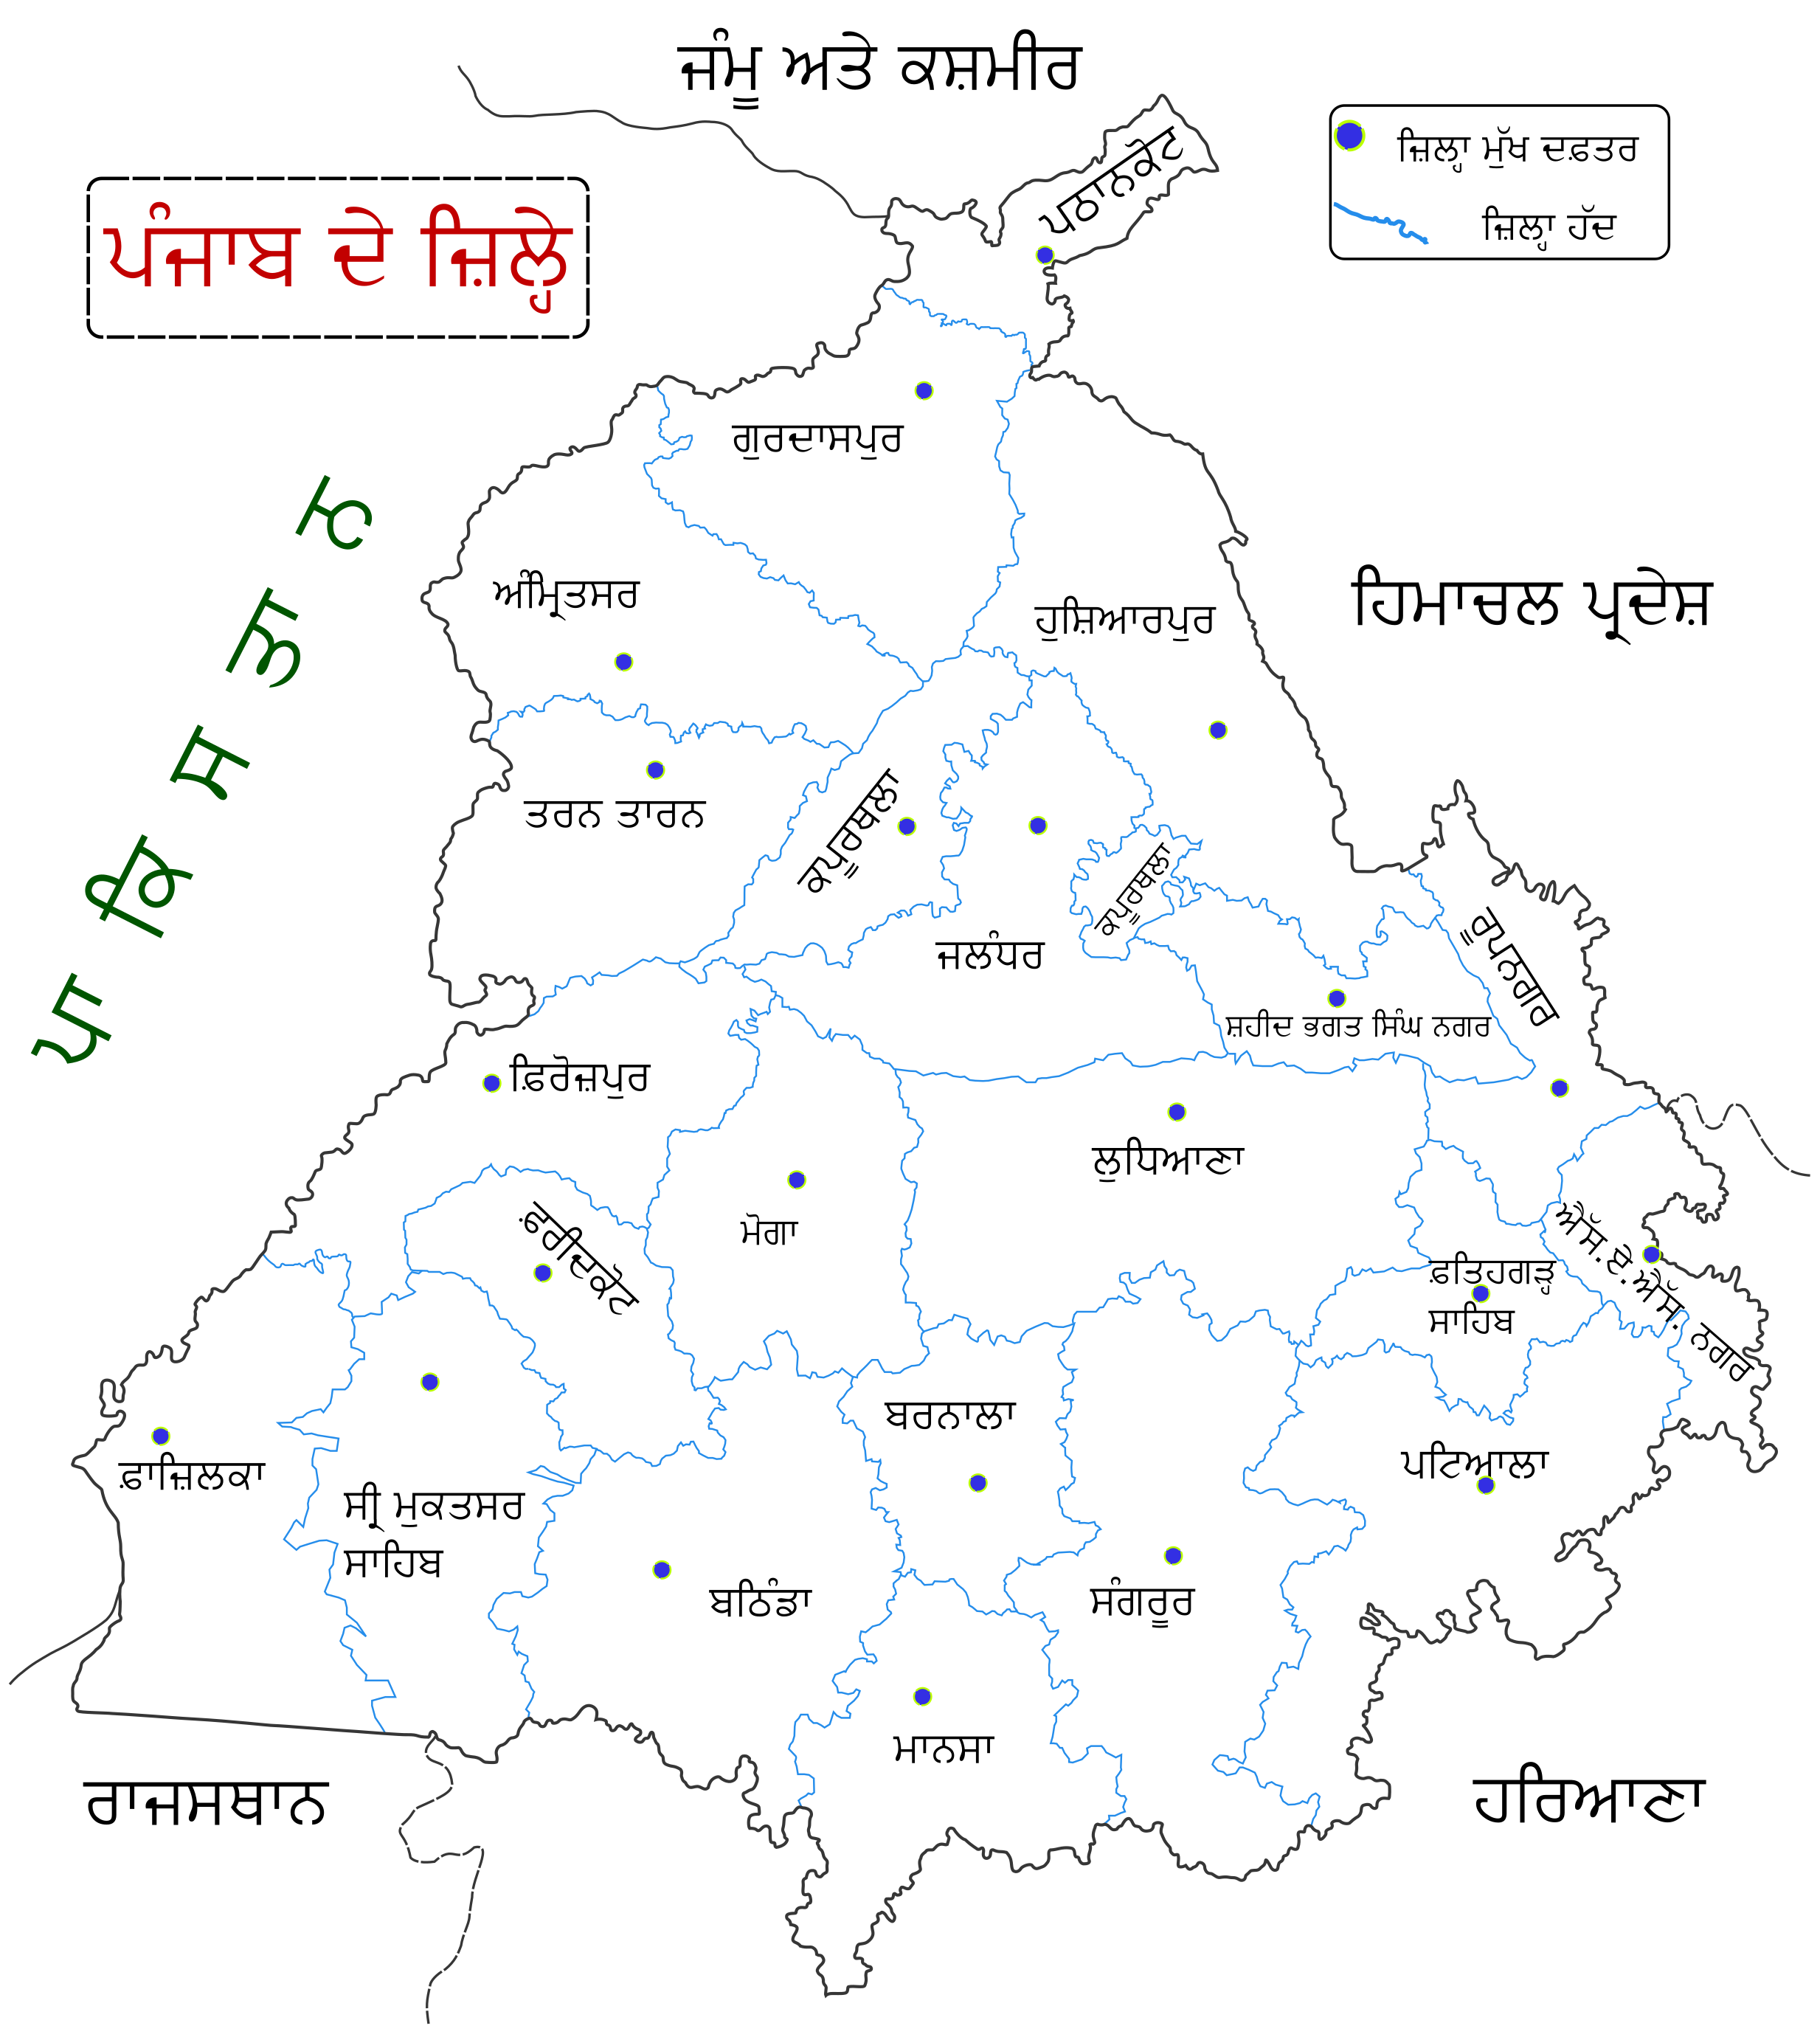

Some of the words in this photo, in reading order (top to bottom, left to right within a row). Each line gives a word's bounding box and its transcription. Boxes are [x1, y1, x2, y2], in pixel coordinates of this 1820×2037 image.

[668, 23, 775, 122] ਜੰਮੂ
[776, 27, 880, 98] ਅਤੇ
[890, 23, 1093, 106] ਕਸ਼ਮੀਰ
[1386, 121, 1478, 180] ਜ਼ਿਲ੍ਹਾ
[1475, 122, 1536, 176] ਮੁੱਖ
[1533, 124, 1647, 172] ਦਫ਼ਤਰ
[1025, 121, 1194, 250] ਪਠਾਨਕੋਟ
[91, 196, 311, 301] ਪੰਜਾਬ
[316, 194, 409, 305] ਦੇ
[412, 185, 579, 329] ਜ਼ਿਲੇ੍
[1475, 198, 1560, 257] ਜ਼ਿਲ੍ਹਾ
[1560, 198, 1628, 253] ਹੱਦ
[722, 418, 915, 472] ਗੁਰਦਾਸਪੁਰ
[282, 466, 386, 566] ਨ
[218, 580, 311, 700] ਤਾ
[487, 559, 651, 634] ਅੰਮ੍ਰਿਤਸਰ
[1027, 590, 1228, 651] ਹੁਸ਼ਿਆਰਪੁਰ
[1327, 543, 1573, 651] ਹਿਮਾਚਲ
[1570, 551, 1729, 657] ਪ੍ਰਦੇਸ਼
[157, 714, 266, 817] ਸ
[513, 793, 608, 834] ਤਰਨ
[606, 793, 716, 840] ਤਾਰਨ
[791, 754, 913, 903] ਕਪੂਰਥਲਾ
[72, 820, 198, 952] ਕਿ
[1090, 837, 1177, 944] ਕਪੂਰਥਲਾ
[921, 920, 1054, 977] ਜਲੰਧਰ
[1454, 900, 1565, 1029] ਰੂਪਨਗਰ
[17, 967, 121, 1085] ਪਾ
[1219, 1006, 1300, 1044] ਸ਼ਹੀਦ
[1296, 1010, 1370, 1045] ਭਗਤ
[1365, 1003, 1428, 1045] ਸਿੰਘ
[1427, 1006, 1501, 1048] ਨਗਰ
[502, 1045, 662, 1106] ਫ਼ਿਰੋਜ਼ਪੁਰ
[1081, 1128, 1255, 1188] ਲੁਧਿਆਣਾ
[727, 1203, 806, 1253] ਮੋਗਾ
[508, 1197, 651, 1327] ਫ਼ਰੀਦਕੋਟ
[1423, 1245, 1562, 1297] ਫ਼ਤਿਹਗੜ੍ਹ
[1549, 1196, 1692, 1326] ਐੱਸ.ਏ.ਐੱਸ
[1422, 1298, 1523, 1343] ਸਹਿਾਬ
[1685, 1315, 1760, 1388] ਨਗਰ
[875, 1394, 1028, 1441] ਬਰਨਾਲਾ
[105, 1444, 279, 1504] ਫ਼ਾਜ਼ਿਲਕਾ
[338, 1473, 390, 1538] ਸ੍ਰੀ
[388, 1476, 532, 1533] ਮੁਕਤਸਰ
[1391, 1437, 1557, 1484] ਪਟਿਆਲਾ
[342, 1535, 450, 1585] ਸਾਹਿਬ
[697, 1574, 816, 1623] ਬਠਿੰਡਾ
[1084, 1572, 1204, 1634] ਸੰਗਰੂਰ
[883, 1726, 1004, 1775] ਮਾਨਸਾ
[69, 1771, 342, 1845] ਰਾਜਸਥਾਨ
[1460, 1757, 1720, 1836] ਹਰਿਆਣਾ